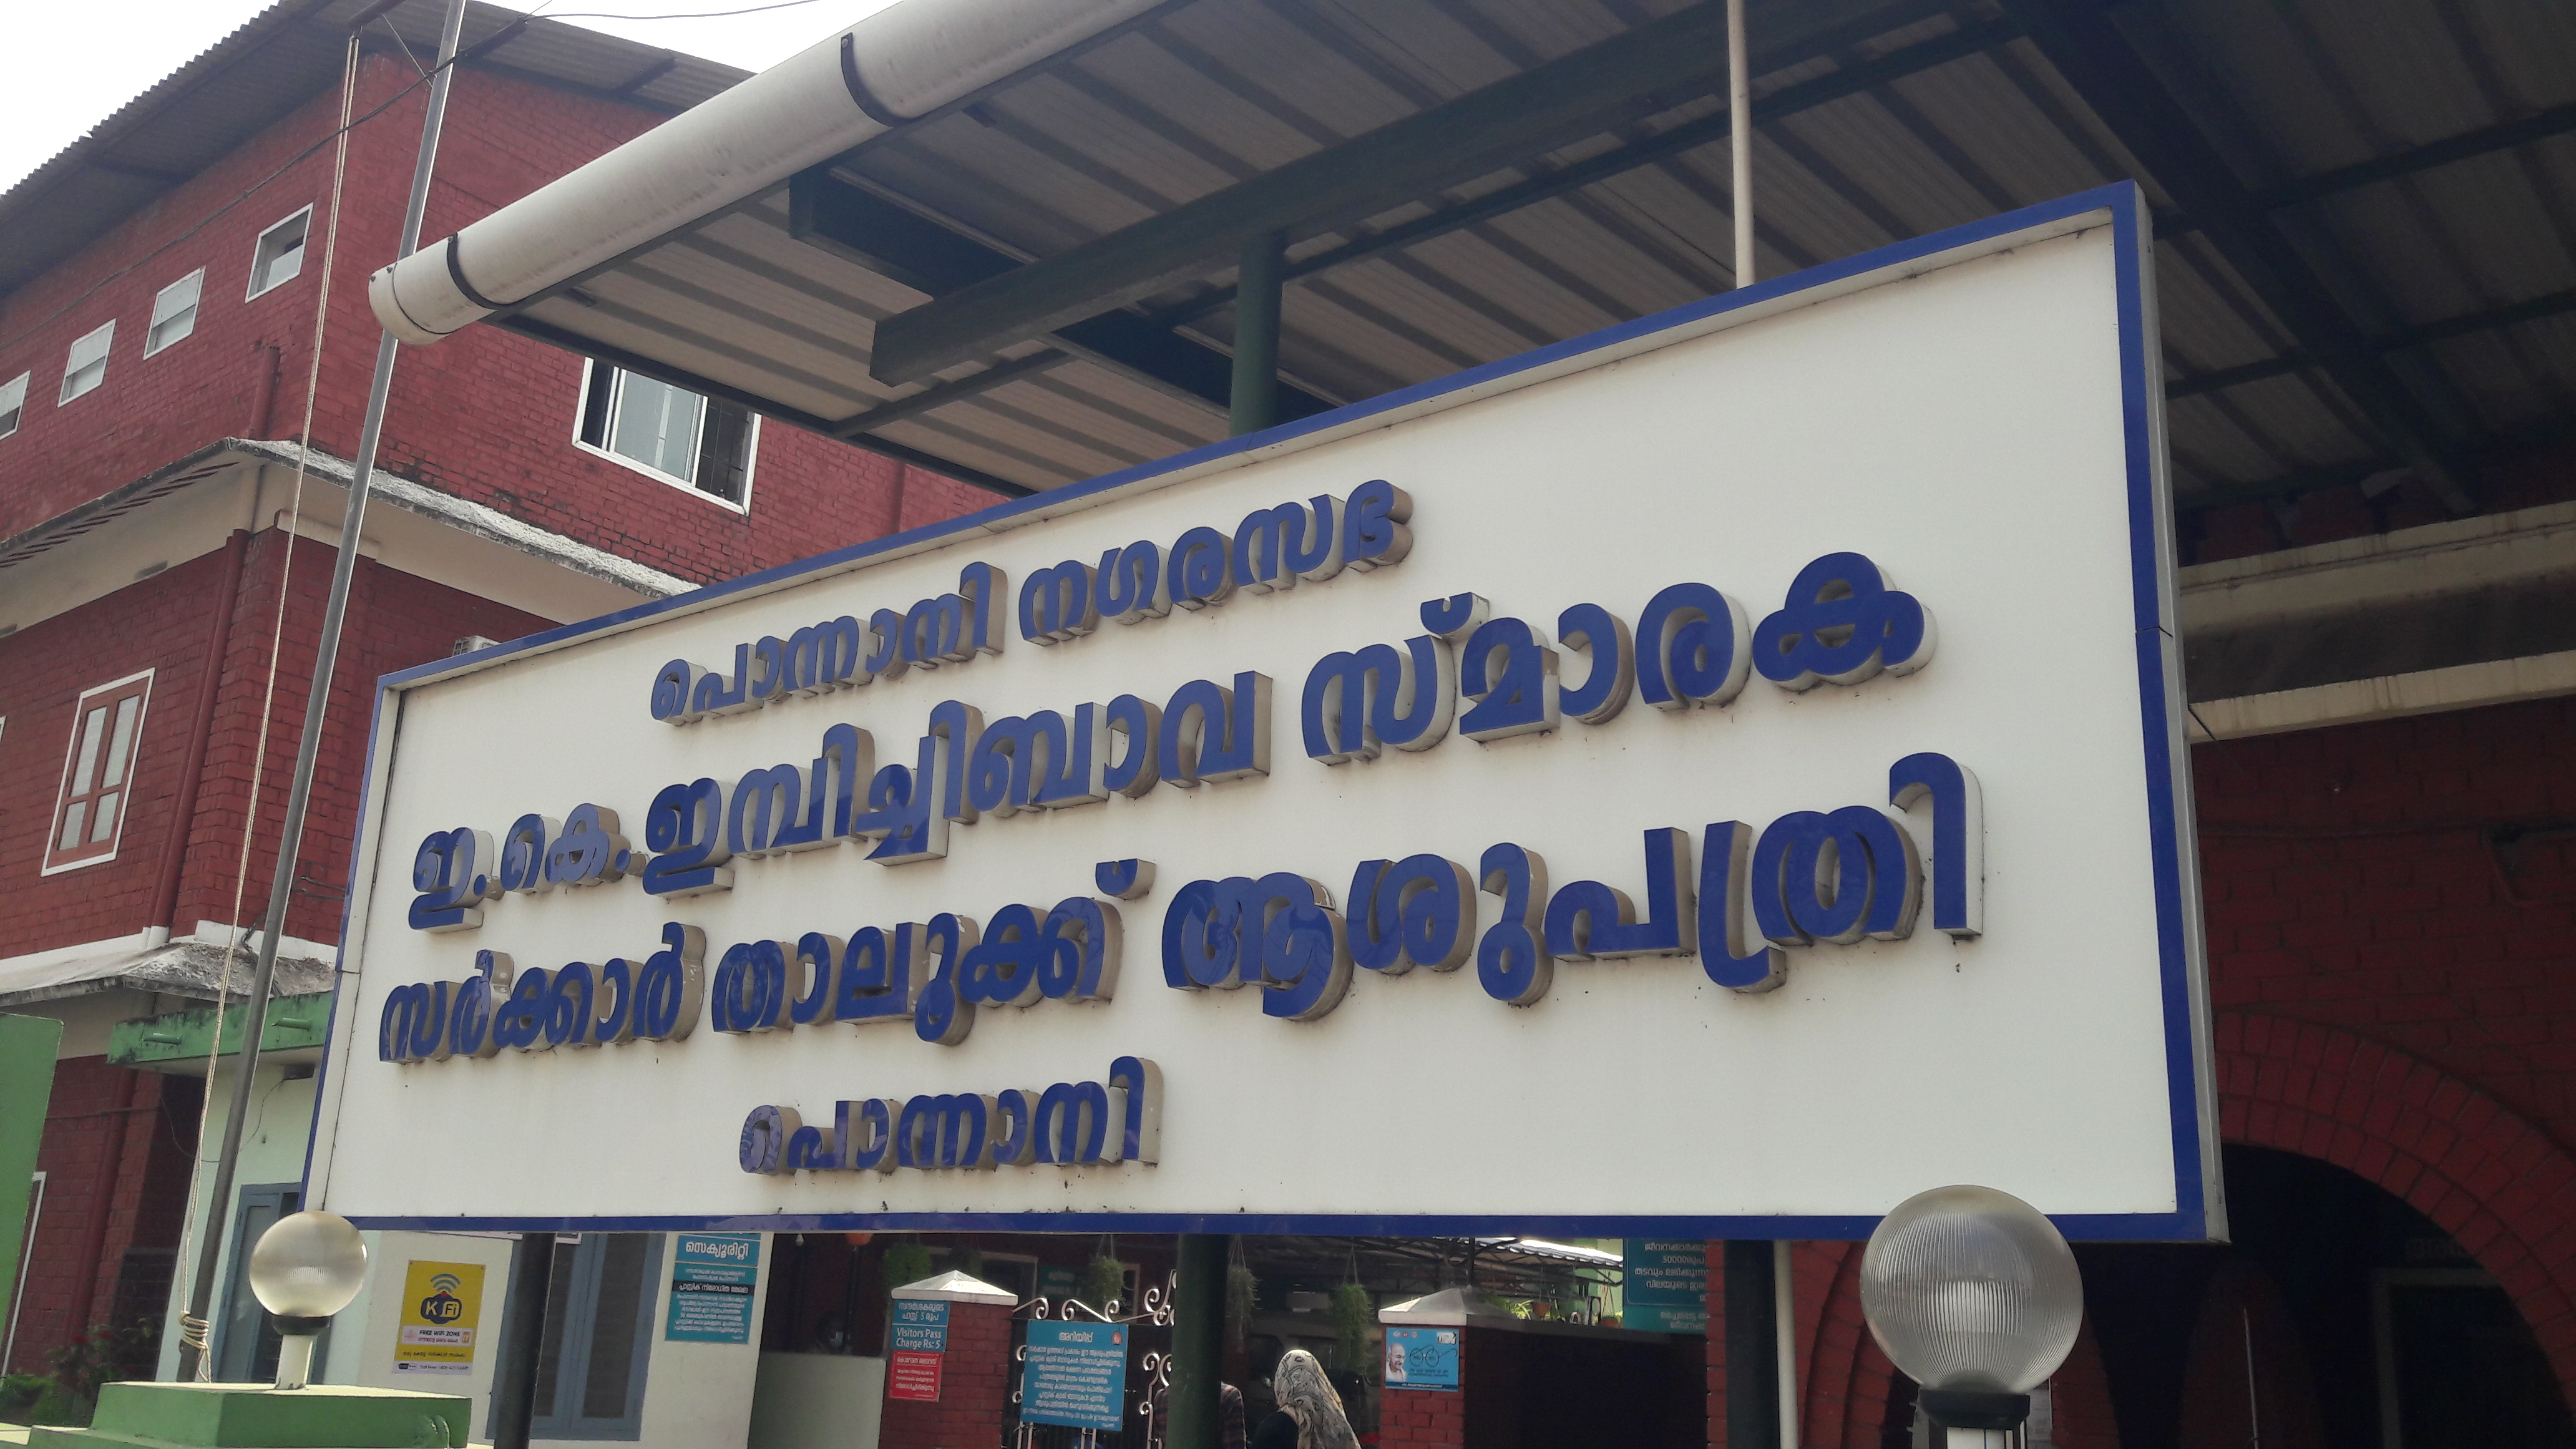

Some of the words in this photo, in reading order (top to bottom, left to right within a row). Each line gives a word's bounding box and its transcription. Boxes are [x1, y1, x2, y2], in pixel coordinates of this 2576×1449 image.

[1012, 472, 1420, 653] നഗരസഭ
[643, 557, 1010, 733] പൊന്നാനി
[1286, 550, 1944, 776] സ്മാരക
[402, 663, 1279, 942] ഇ.കെ.ഇമ്പിച്ചിബാവ
[1154, 750, 1988, 1028] ആശുപത്രി
[704, 856, 1163, 1050] താലൂക്ക്
[374, 914, 710, 1070] സർക്കാർ
[734, 1046, 1169, 1181] പൊന്നാനി
[683, 1238, 751, 1264] സെക്യൂരിറ്റി
[1638, 1237, 1710, 1254] ജീവനക്കാരക്കും
[1629, 1264, 1667, 1279] തടവും
[1642, 1275, 1692, 1292] വിലയുടെ
[421, 1297, 459, 1320] KFi
[917, 1309, 942, 1325] 5 രൂപ
[892, 1332, 924, 1352] Charge
[894, 1323, 927, 1342] Visitors
[919, 1337, 943, 1352] RS:5
[923, 1327, 944, 1342] Pass
[1056, 1327, 1096, 1346] അറിയിപ്പ്